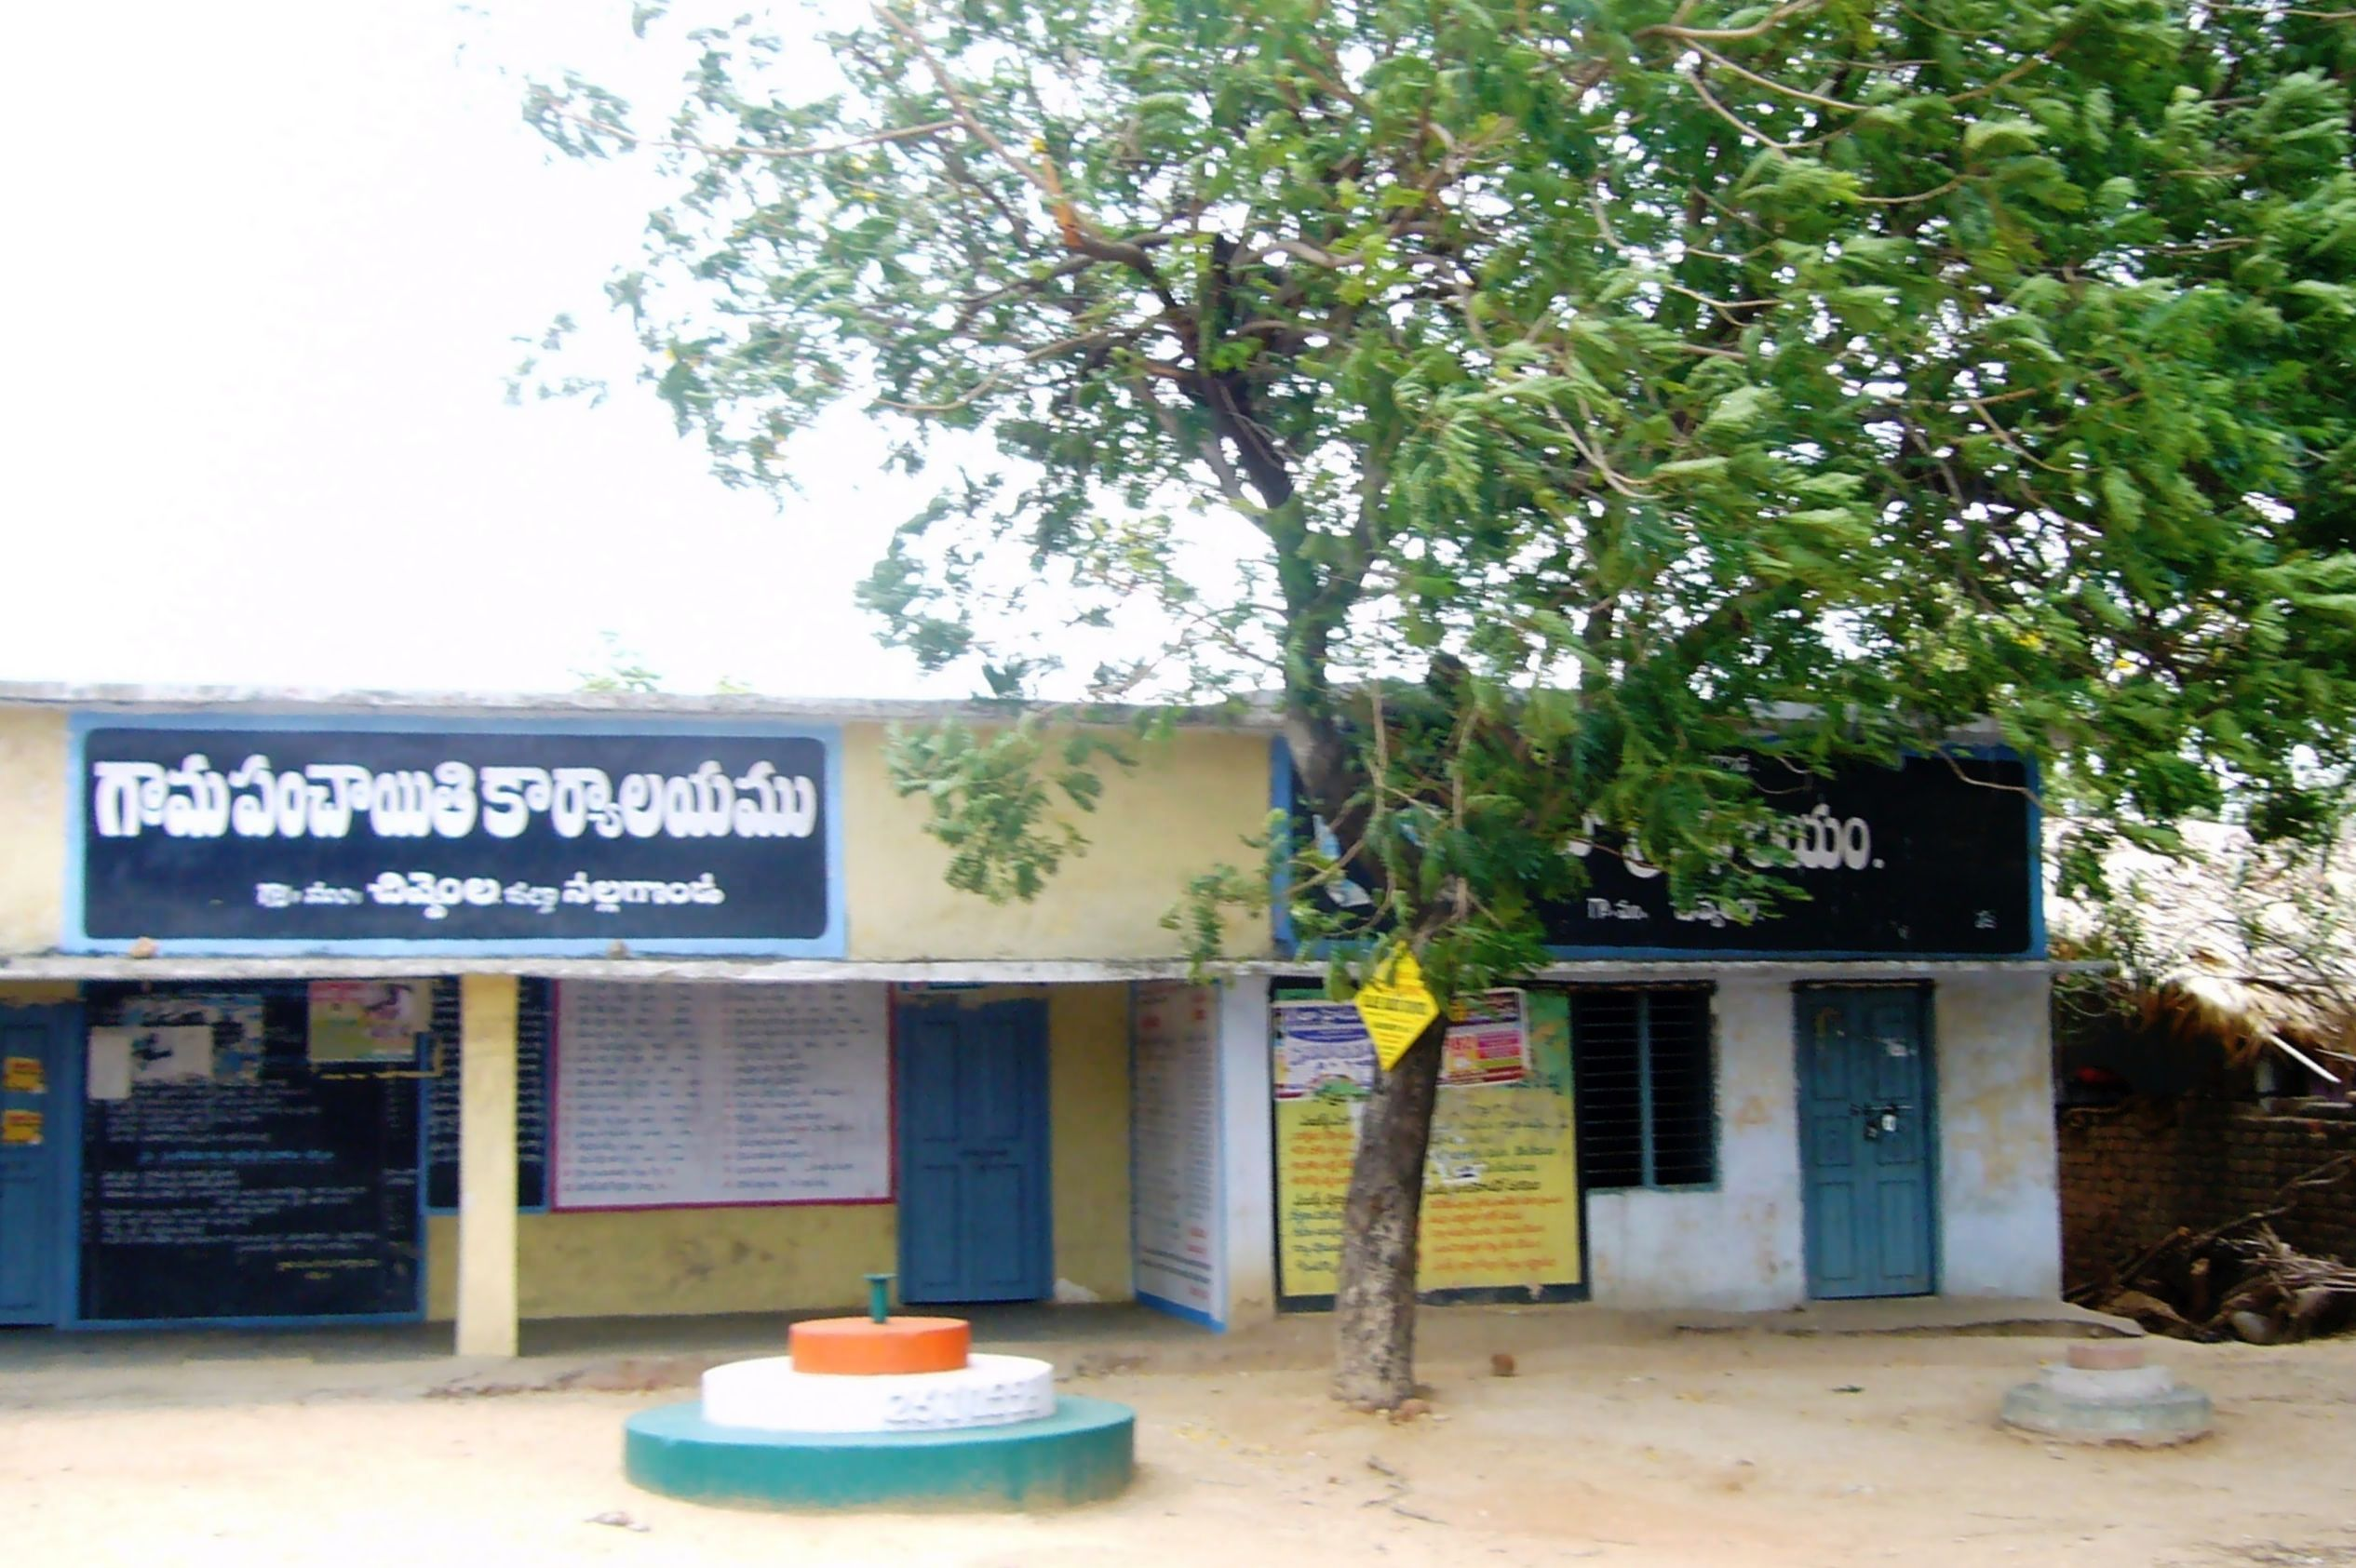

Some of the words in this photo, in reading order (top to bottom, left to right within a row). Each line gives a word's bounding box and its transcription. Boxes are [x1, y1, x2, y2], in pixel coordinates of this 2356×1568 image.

[78, 746, 819, 846] గ్రామ పంచాయితి కార్యాలయము
[366, 864, 735, 923] చివ్వెంల జిల్లా నల్లగొండ